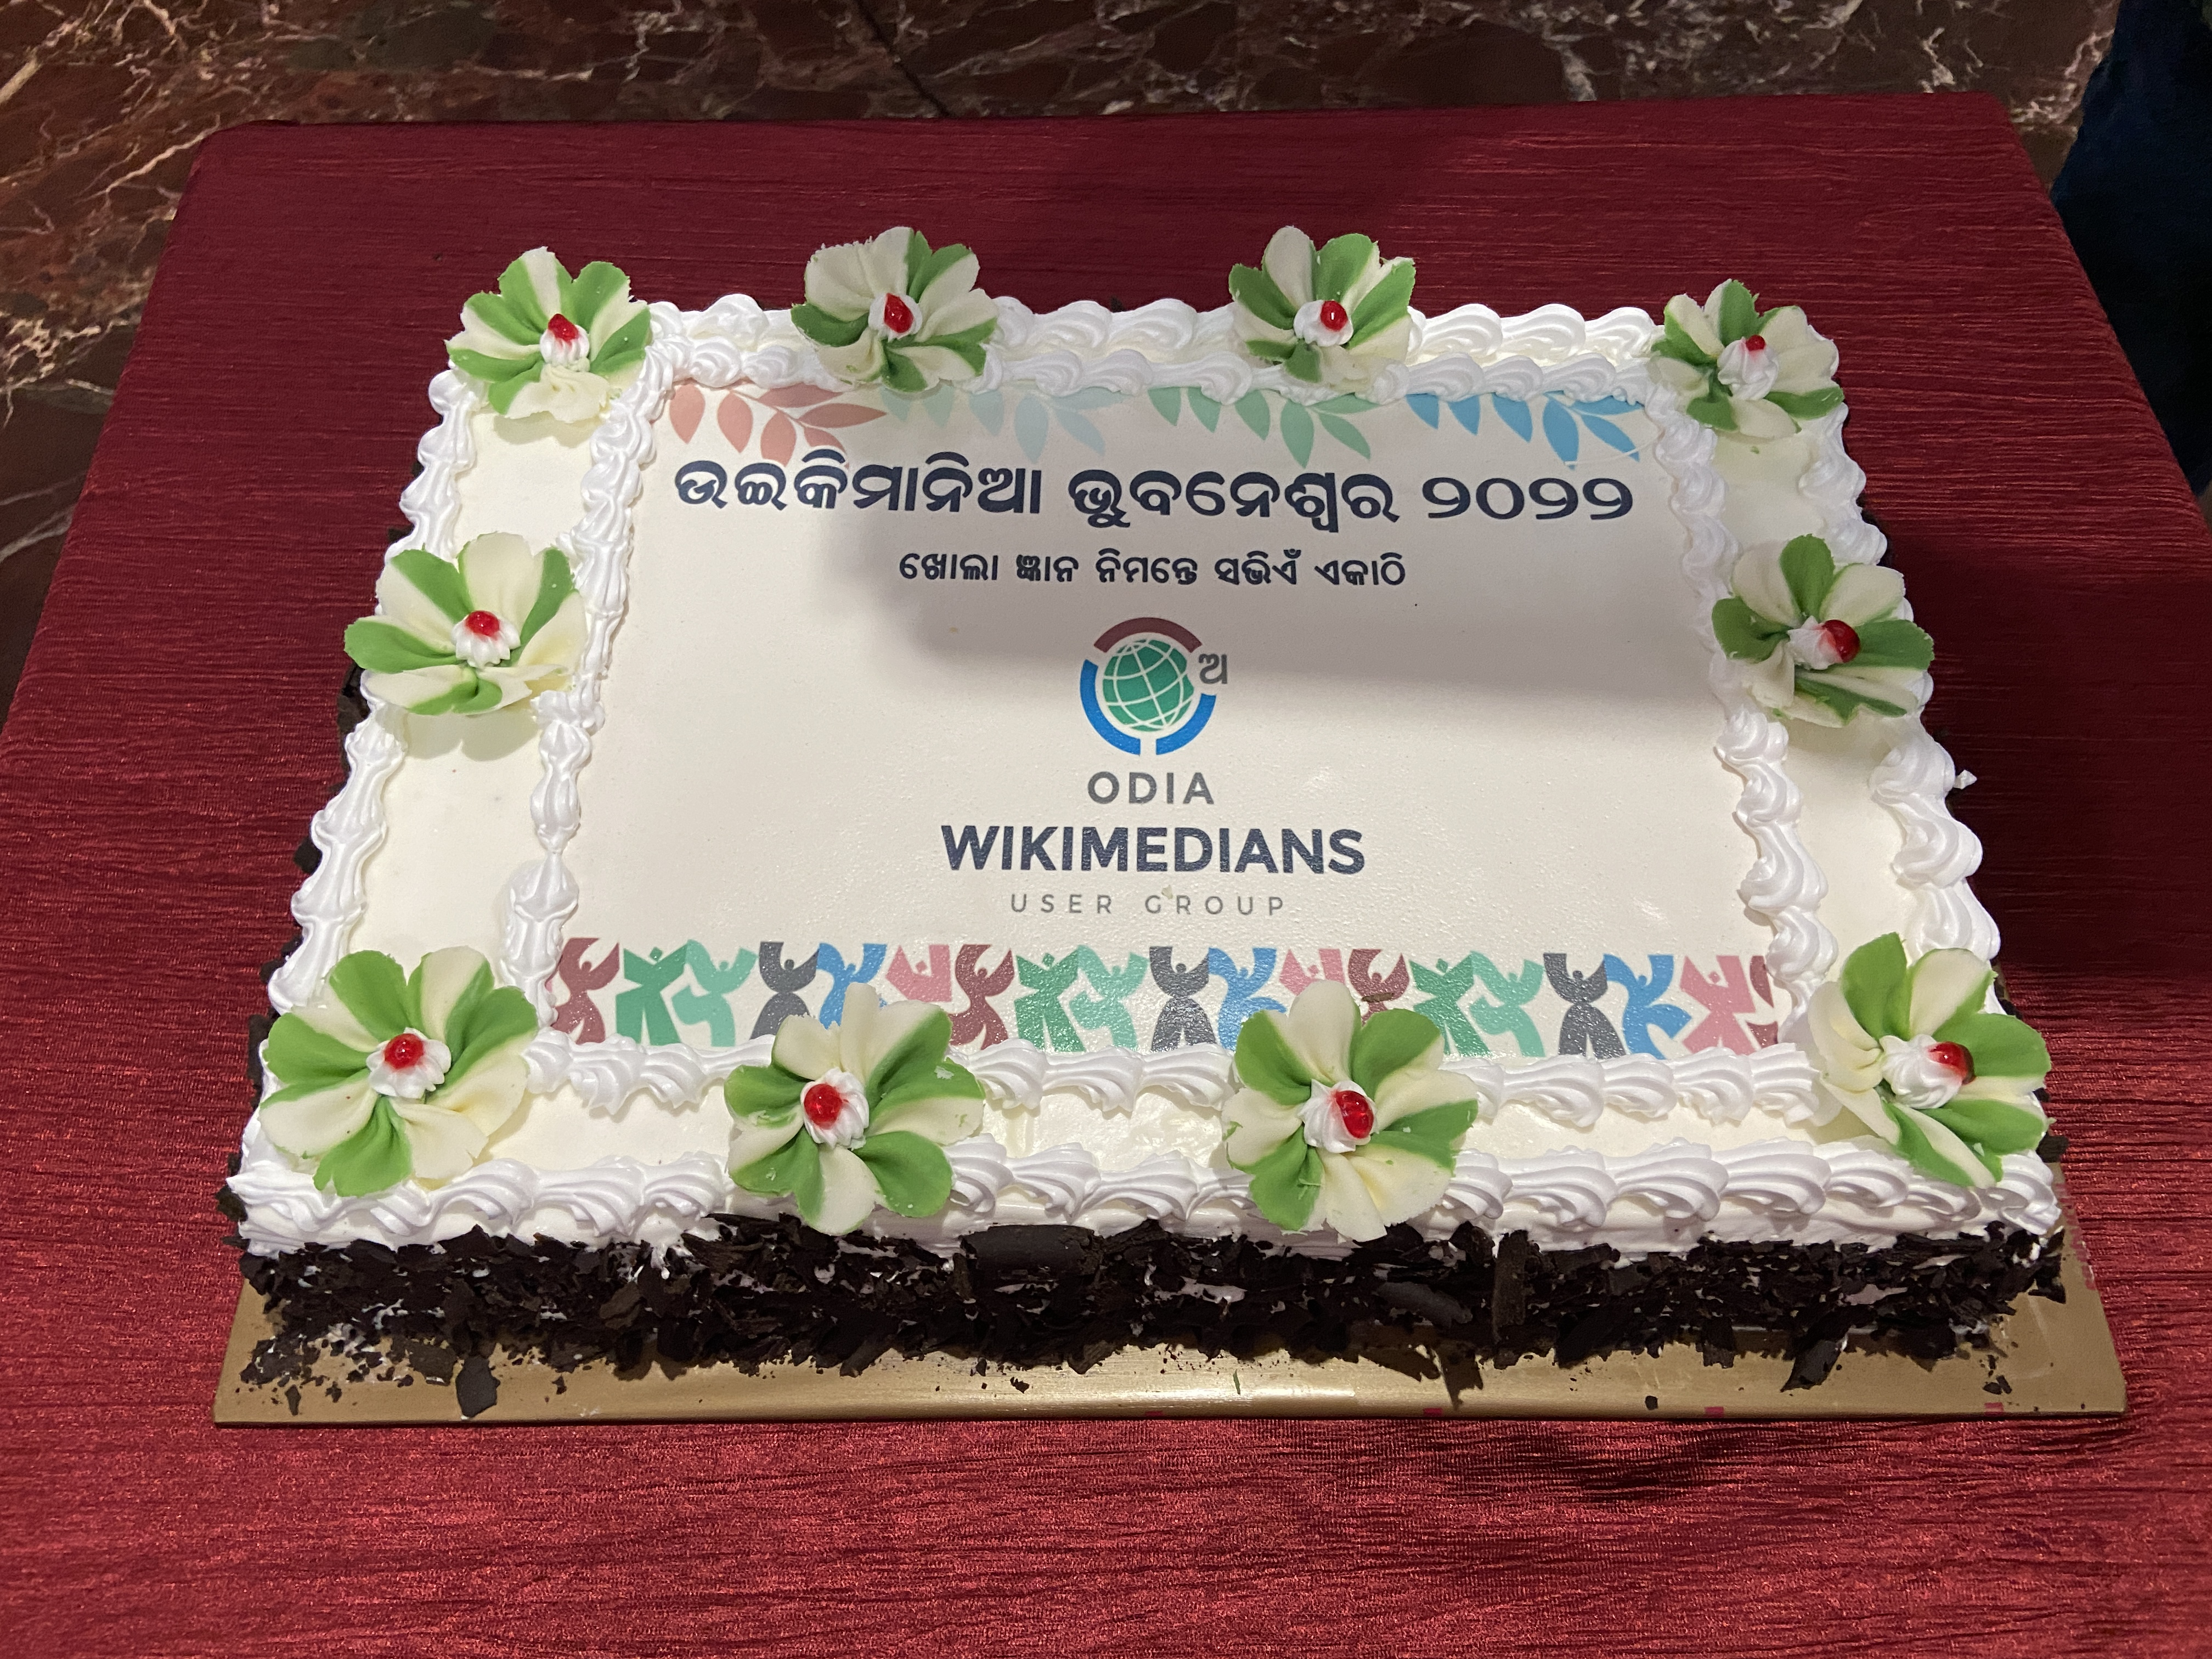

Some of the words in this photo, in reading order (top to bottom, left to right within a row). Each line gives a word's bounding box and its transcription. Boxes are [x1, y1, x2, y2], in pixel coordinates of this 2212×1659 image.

[669, 440, 1042, 515] ଉଇକିମାନିଆ
[1062, 464, 1401, 535] ଭୁବନେଶ୍ବର
[1415, 472, 1637, 525] ୨୦୨୨
[894, 545, 1002, 584] ଖୋଲା
[1008, 545, 1081, 593] ଜ୍ଞାନ
[1091, 545, 1198, 588] ନିମନ୍ତେ
[1212, 546, 1305, 589] ସଭିଏଁ
[1311, 548, 1408, 590] ଏକାଠି
[1084, 768, 1217, 809] ODIA
[938, 824, 1367, 876] WIKIMEDIANS
[1006, 888, 1114, 916] USER
[1139, 890, 1282, 922] GROUP